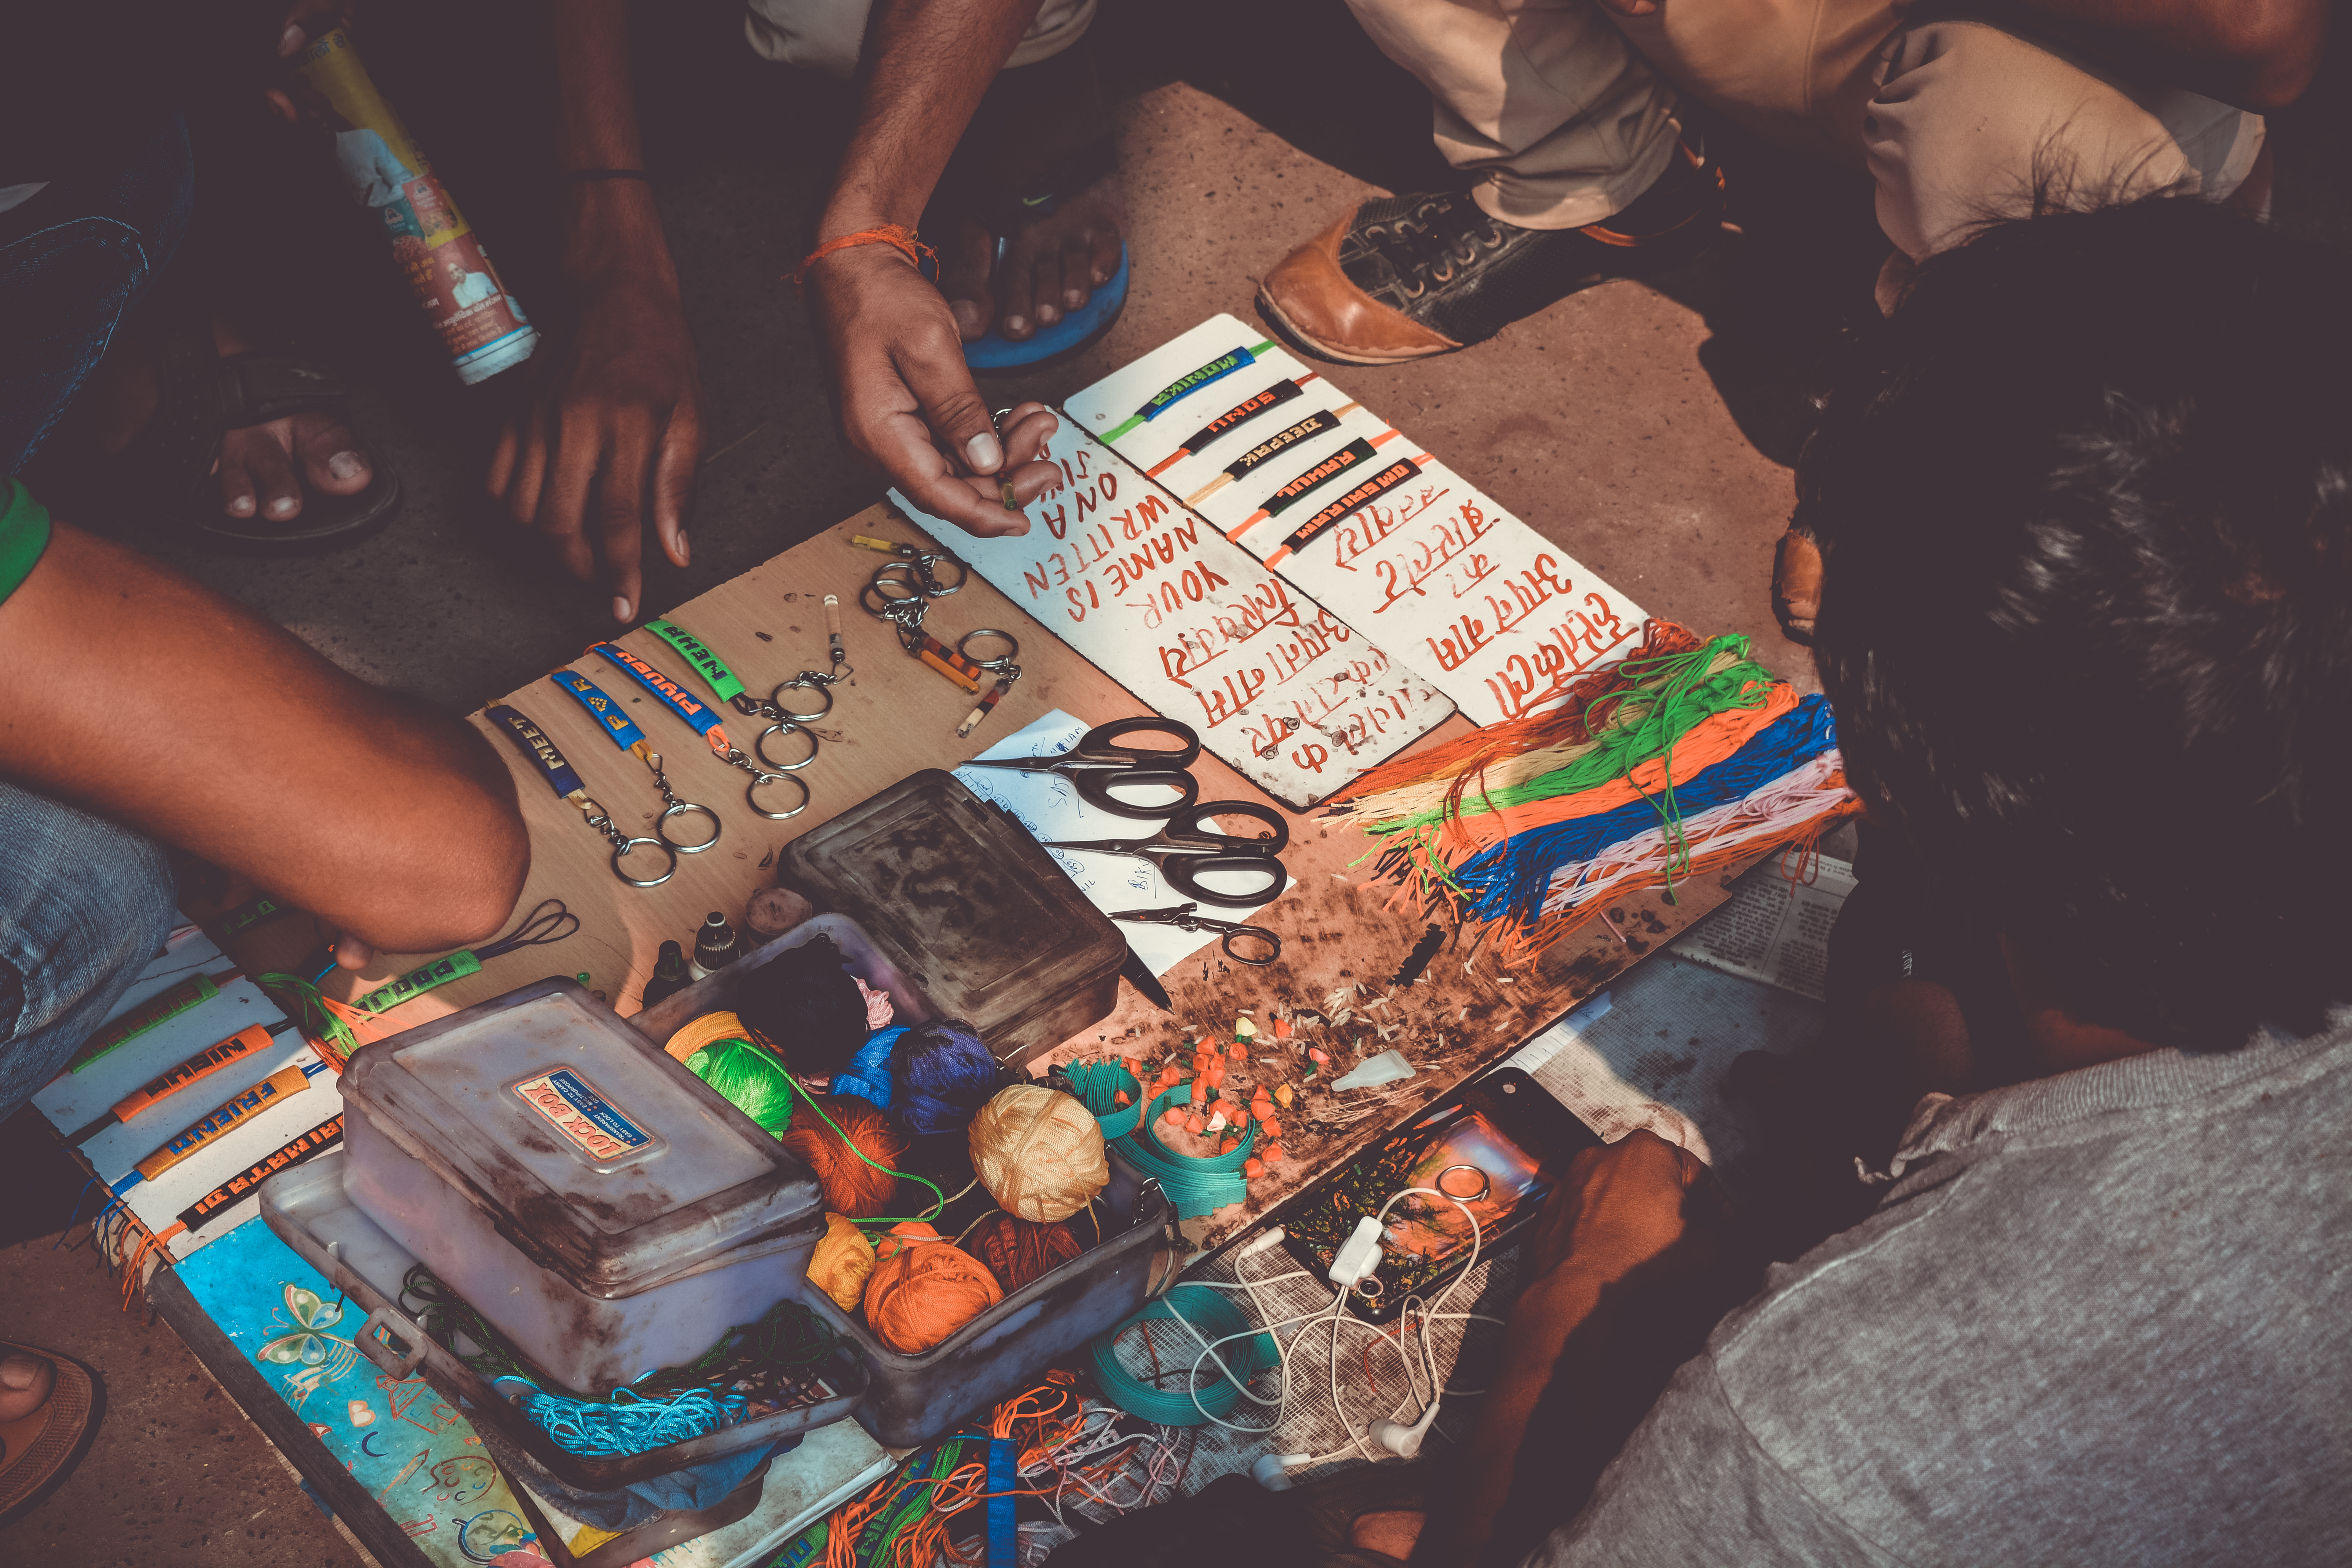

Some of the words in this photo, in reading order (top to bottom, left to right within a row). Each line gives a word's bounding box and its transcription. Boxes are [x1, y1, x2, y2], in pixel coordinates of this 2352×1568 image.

[417, 294, 443, 314] मंजन
[439, 305, 476, 329] आयुवेंदिक
[454, 321, 468, 336] का
[459, 339, 469, 356] मे
[464, 336, 482, 352] लाभ
[466, 325, 483, 340] रक्ते
[471, 299, 487, 317] बंल
[474, 306, 500, 326] पाथेरिया
[475, 327, 502, 347] मिलता
[482, 292, 505, 309] मंजन
[495, 323, 508, 337] है
[1023, 551, 1074, 603] EN
[1039, 467, 1122, 544] ONA
[1065, 579, 1102, 624] SI
[1071, 493, 1172, 577] WRITT
[1099, 514, 1200, 599] NAME
[1123, 558, 1230, 632] YOUR
[1212, 578, 1303, 646] लिख
[1331, 483, 1452, 575] हटवायें
[1372, 496, 1502, 615] ब्रास्लेट
[1444, 552, 1502, 603] का
[1482, 551, 1574, 637] अपने
[1156, 625, 1230, 691] गये
[1262, 605, 1352, 688] अपना
[1424, 611, 1496, 675] नाम
[1481, 589, 1642, 720] हस्तकला
[1193, 662, 1268, 732] नाम